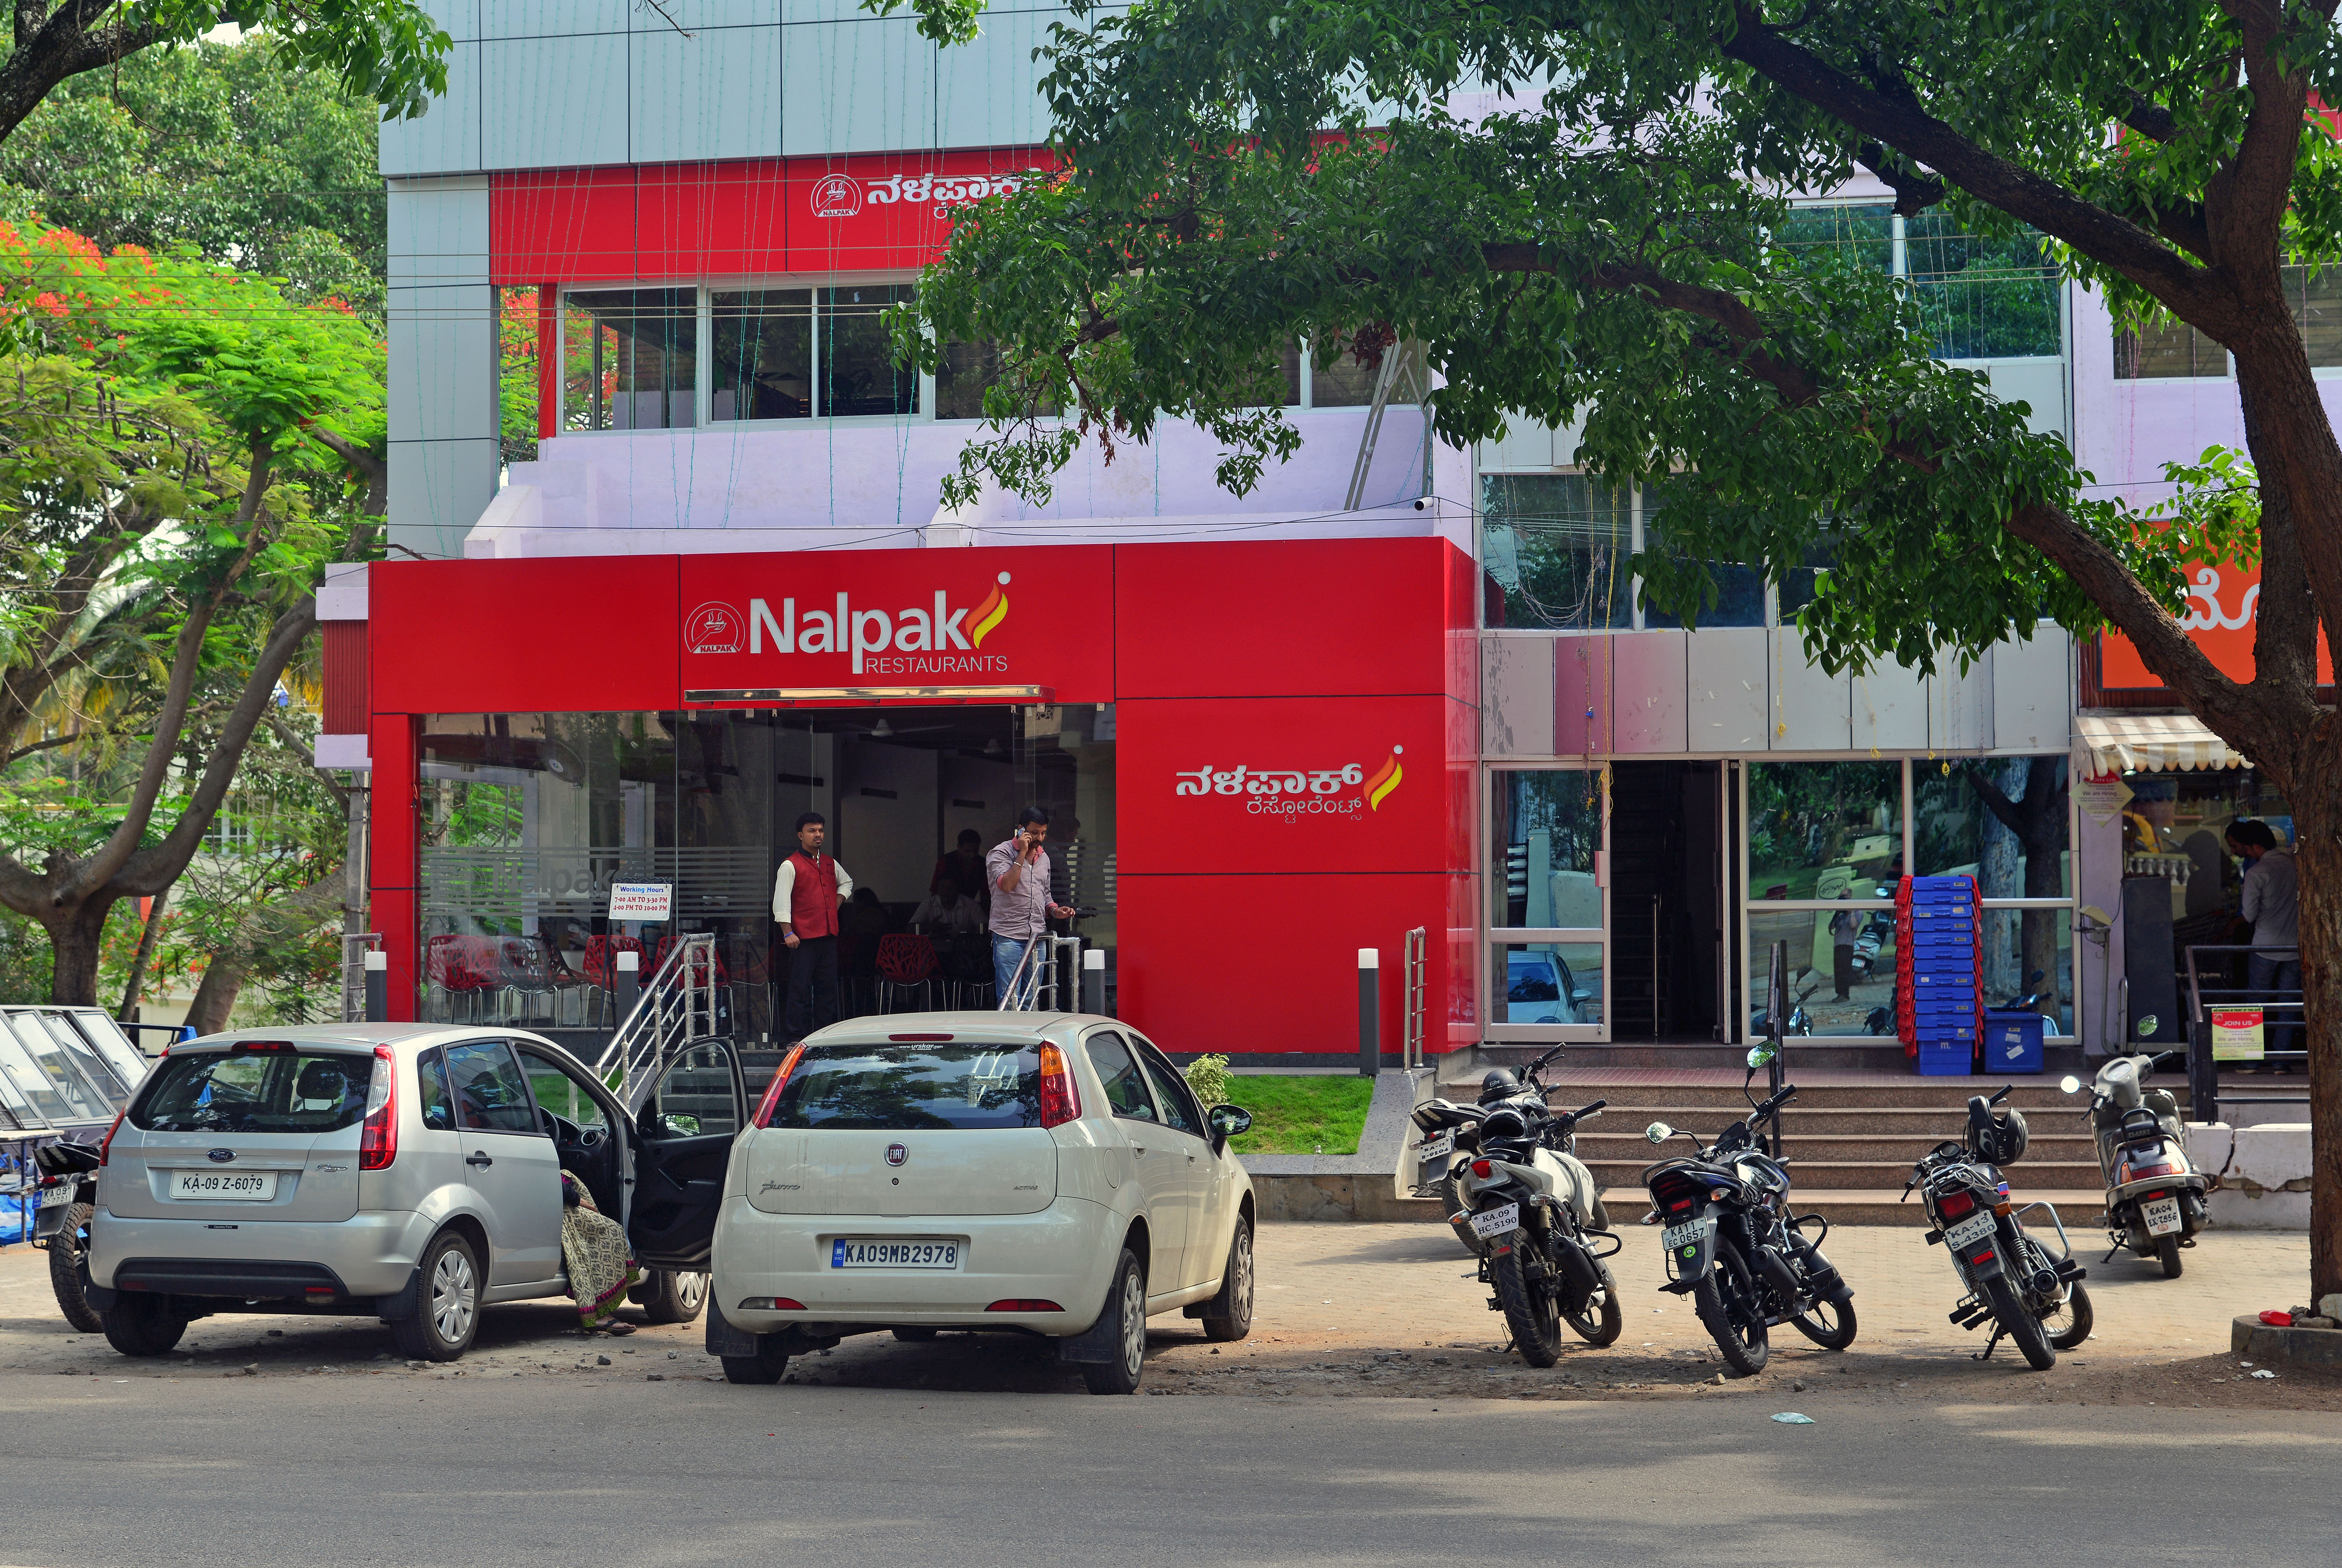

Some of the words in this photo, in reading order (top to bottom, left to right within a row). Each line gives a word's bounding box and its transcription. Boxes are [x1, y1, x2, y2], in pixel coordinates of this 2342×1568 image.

[863, 166, 1050, 221] ನಳಪಾಕ್
[821, 207, 852, 218] NALPAK
[747, 583, 976, 680] Nalpak
[697, 642, 737, 658] NALPAK
[863, 652, 1009, 679] RESTAURANTS
[1172, 758, 1365, 798] ನಳಪಾಕ್
[1244, 791, 1367, 827] ರಸ್ಟೋರೆಂಟ್ಸ್
[617, 883, 646, 895] Working
[646, 884, 666, 894] Hours
[613, 894, 627, 904] 7-00
[626, 894, 638, 905] AM
[636, 895, 647, 904] TO
[646, 896, 659, 906] 3-30
[655, 896, 669, 904] PM
[609, 904, 626, 913] 4-00
[623, 902, 635, 914] PM
[633, 903, 644, 911] TO
[644, 903, 659, 914] 10-00
[657, 904, 668, 913] PM
[181, 1173, 264, 1193] KA-09Z-6079
[843, 1242, 960, 1270] KA09MB2978